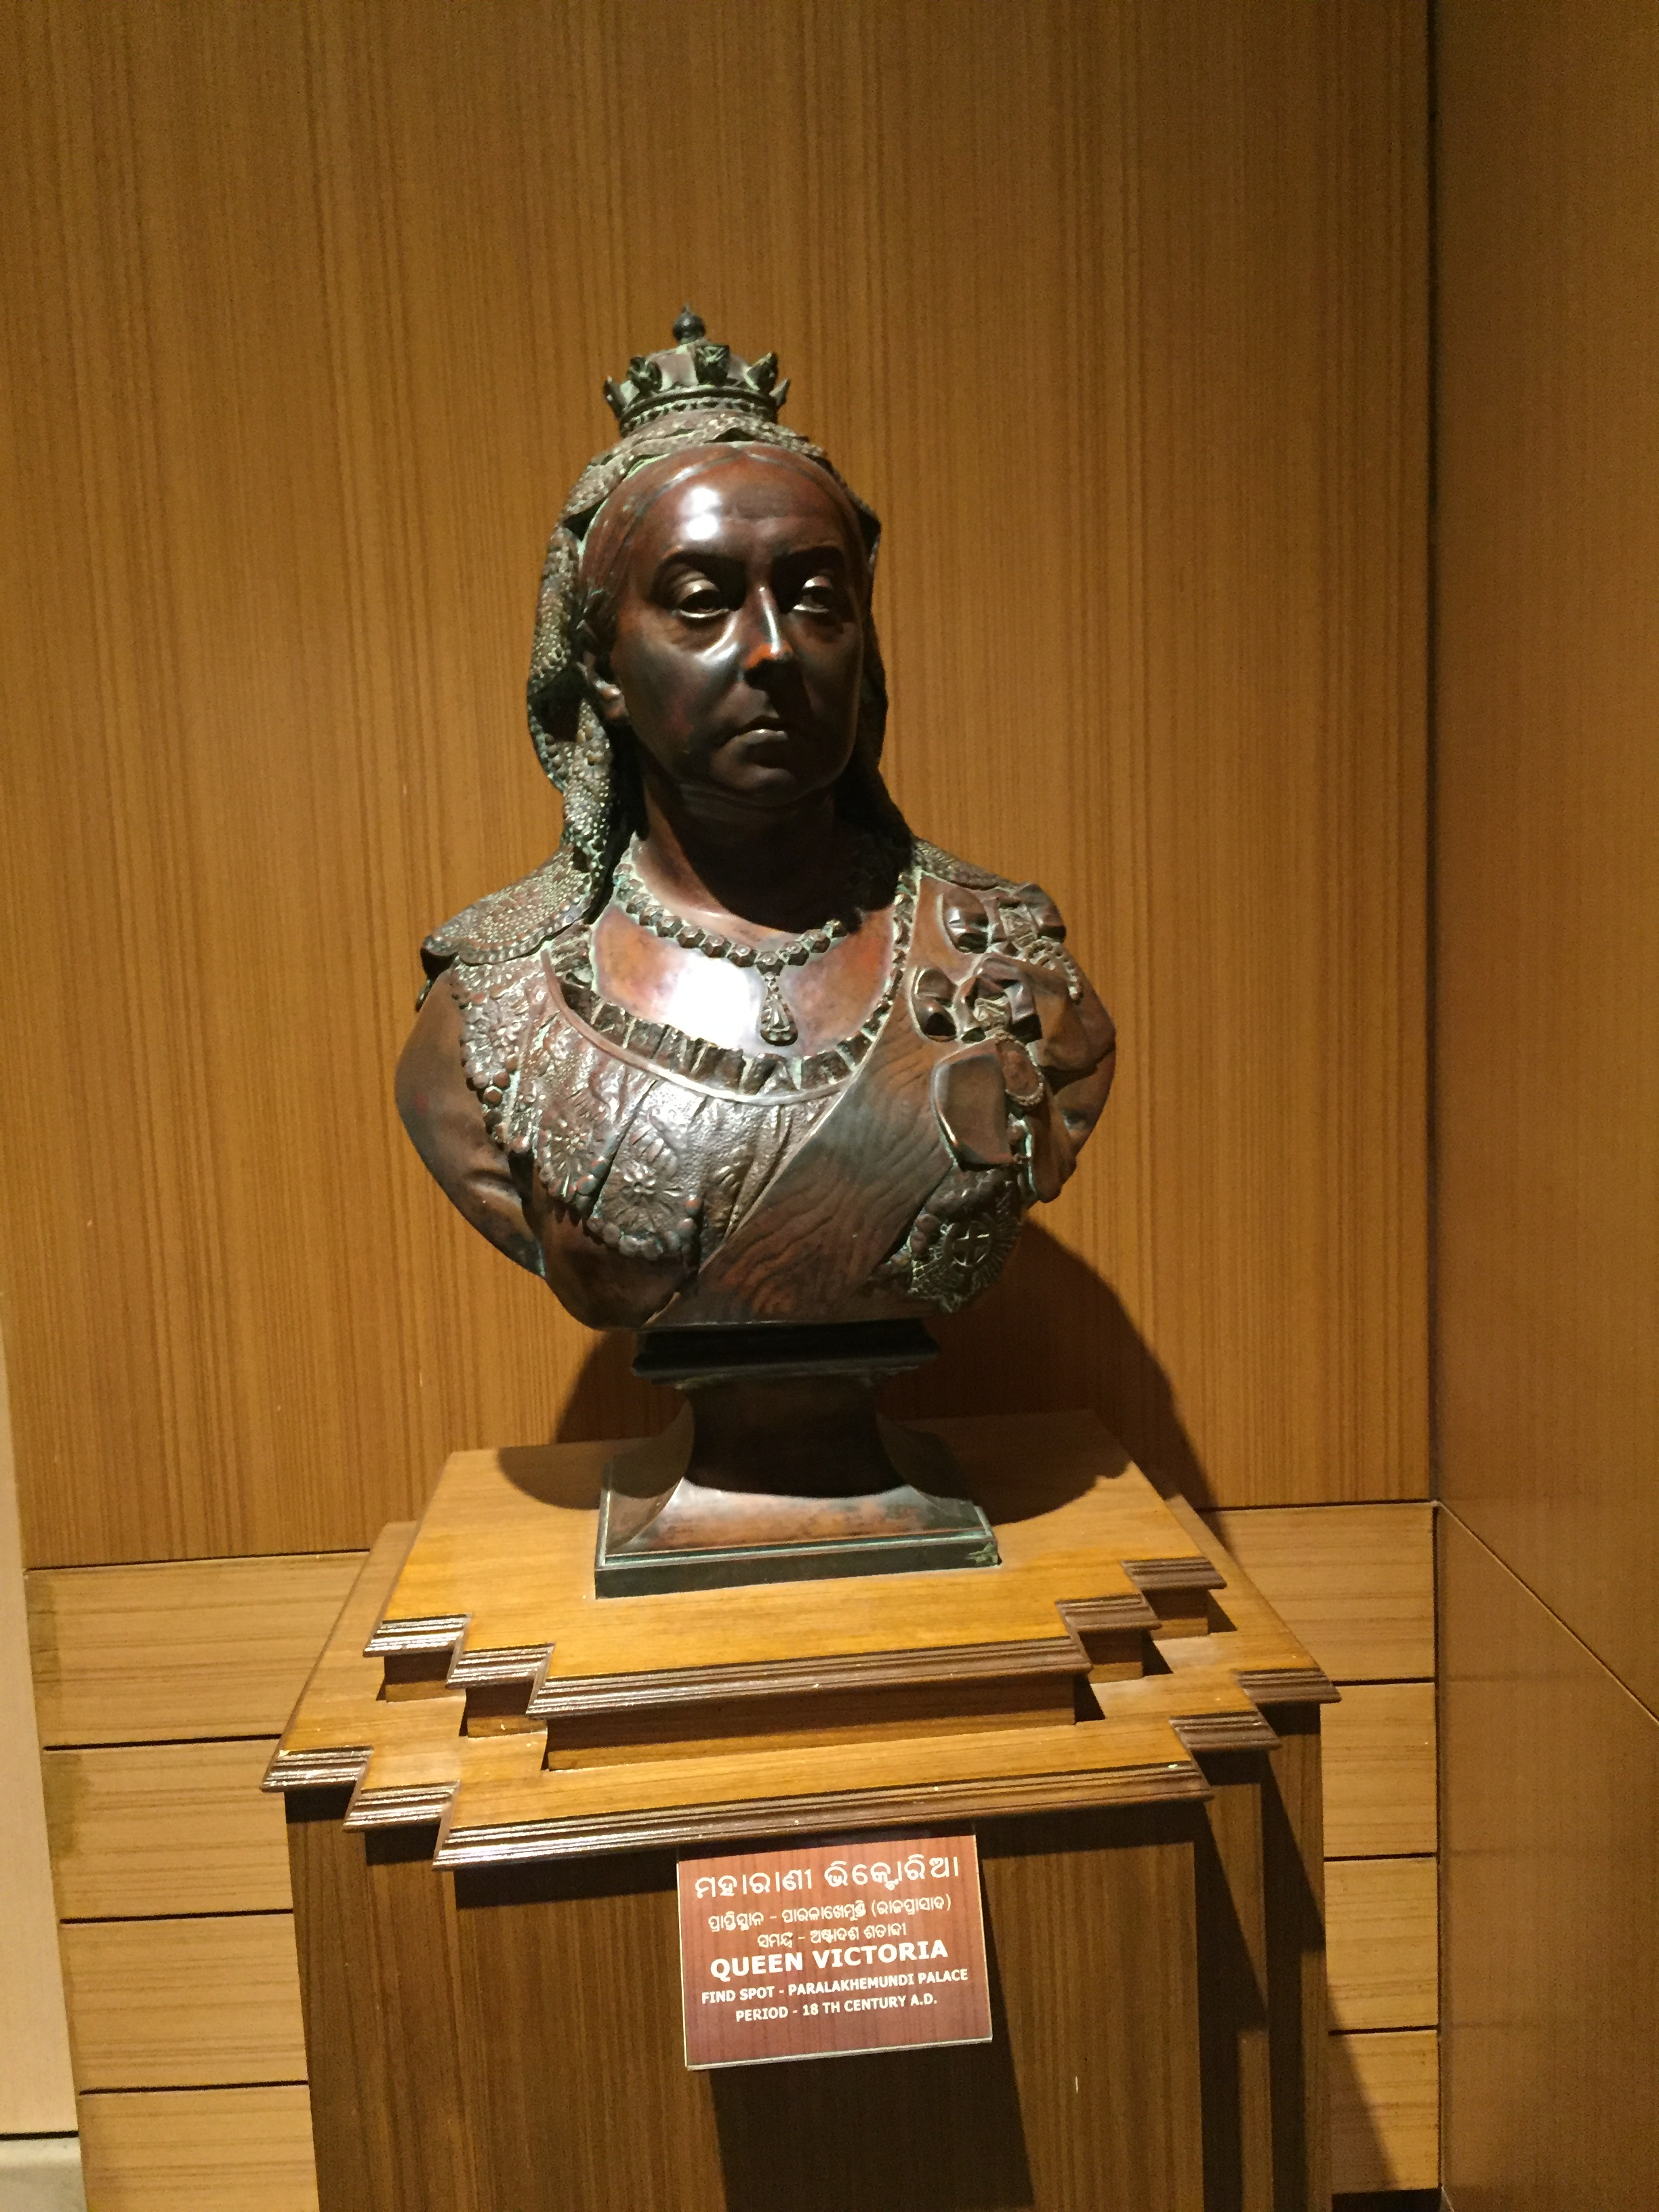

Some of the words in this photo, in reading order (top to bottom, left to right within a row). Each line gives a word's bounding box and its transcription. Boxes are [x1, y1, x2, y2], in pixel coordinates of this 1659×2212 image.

[694, 1866, 814, 1902] ମହାରାଣୀ
[819, 1851, 963, 1894] ଭିକ୍ଟୋରିଆ
[707, 1903, 766, 1935] ପ୍ରାପ୍ତି ସ୍ଥାନ
[754, 1928, 797, 1952] ସମୟ
[777, 1894, 868, 1925] ପାରଳାଖେମୁଣ୍ଡି
[805, 1923, 863, 1944] ଅଷ୍ଟାଦଶ
[859, 1915, 909, 1940] ଶତାବ୍ଦୀ
[874, 1891, 947, 1922] ରାଜପ୍ରାସାଦ
[697, 1986, 739, 2005] FIND
[705, 1947, 807, 1986] QUEEN
[736, 1981, 778, 2004] SPOT
[733, 2005, 792, 2025] PERIOD
[801, 1997, 844, 2021] 18TH
[786, 1972, 918, 2000] PARALAKHEMUNDI
[840, 1990, 909, 2015] CENTURY
[811, 1935, 951, 1973] VICTORIA
[908, 1987, 942, 2009] A.D.
[916, 1967, 974, 1986] PALACE